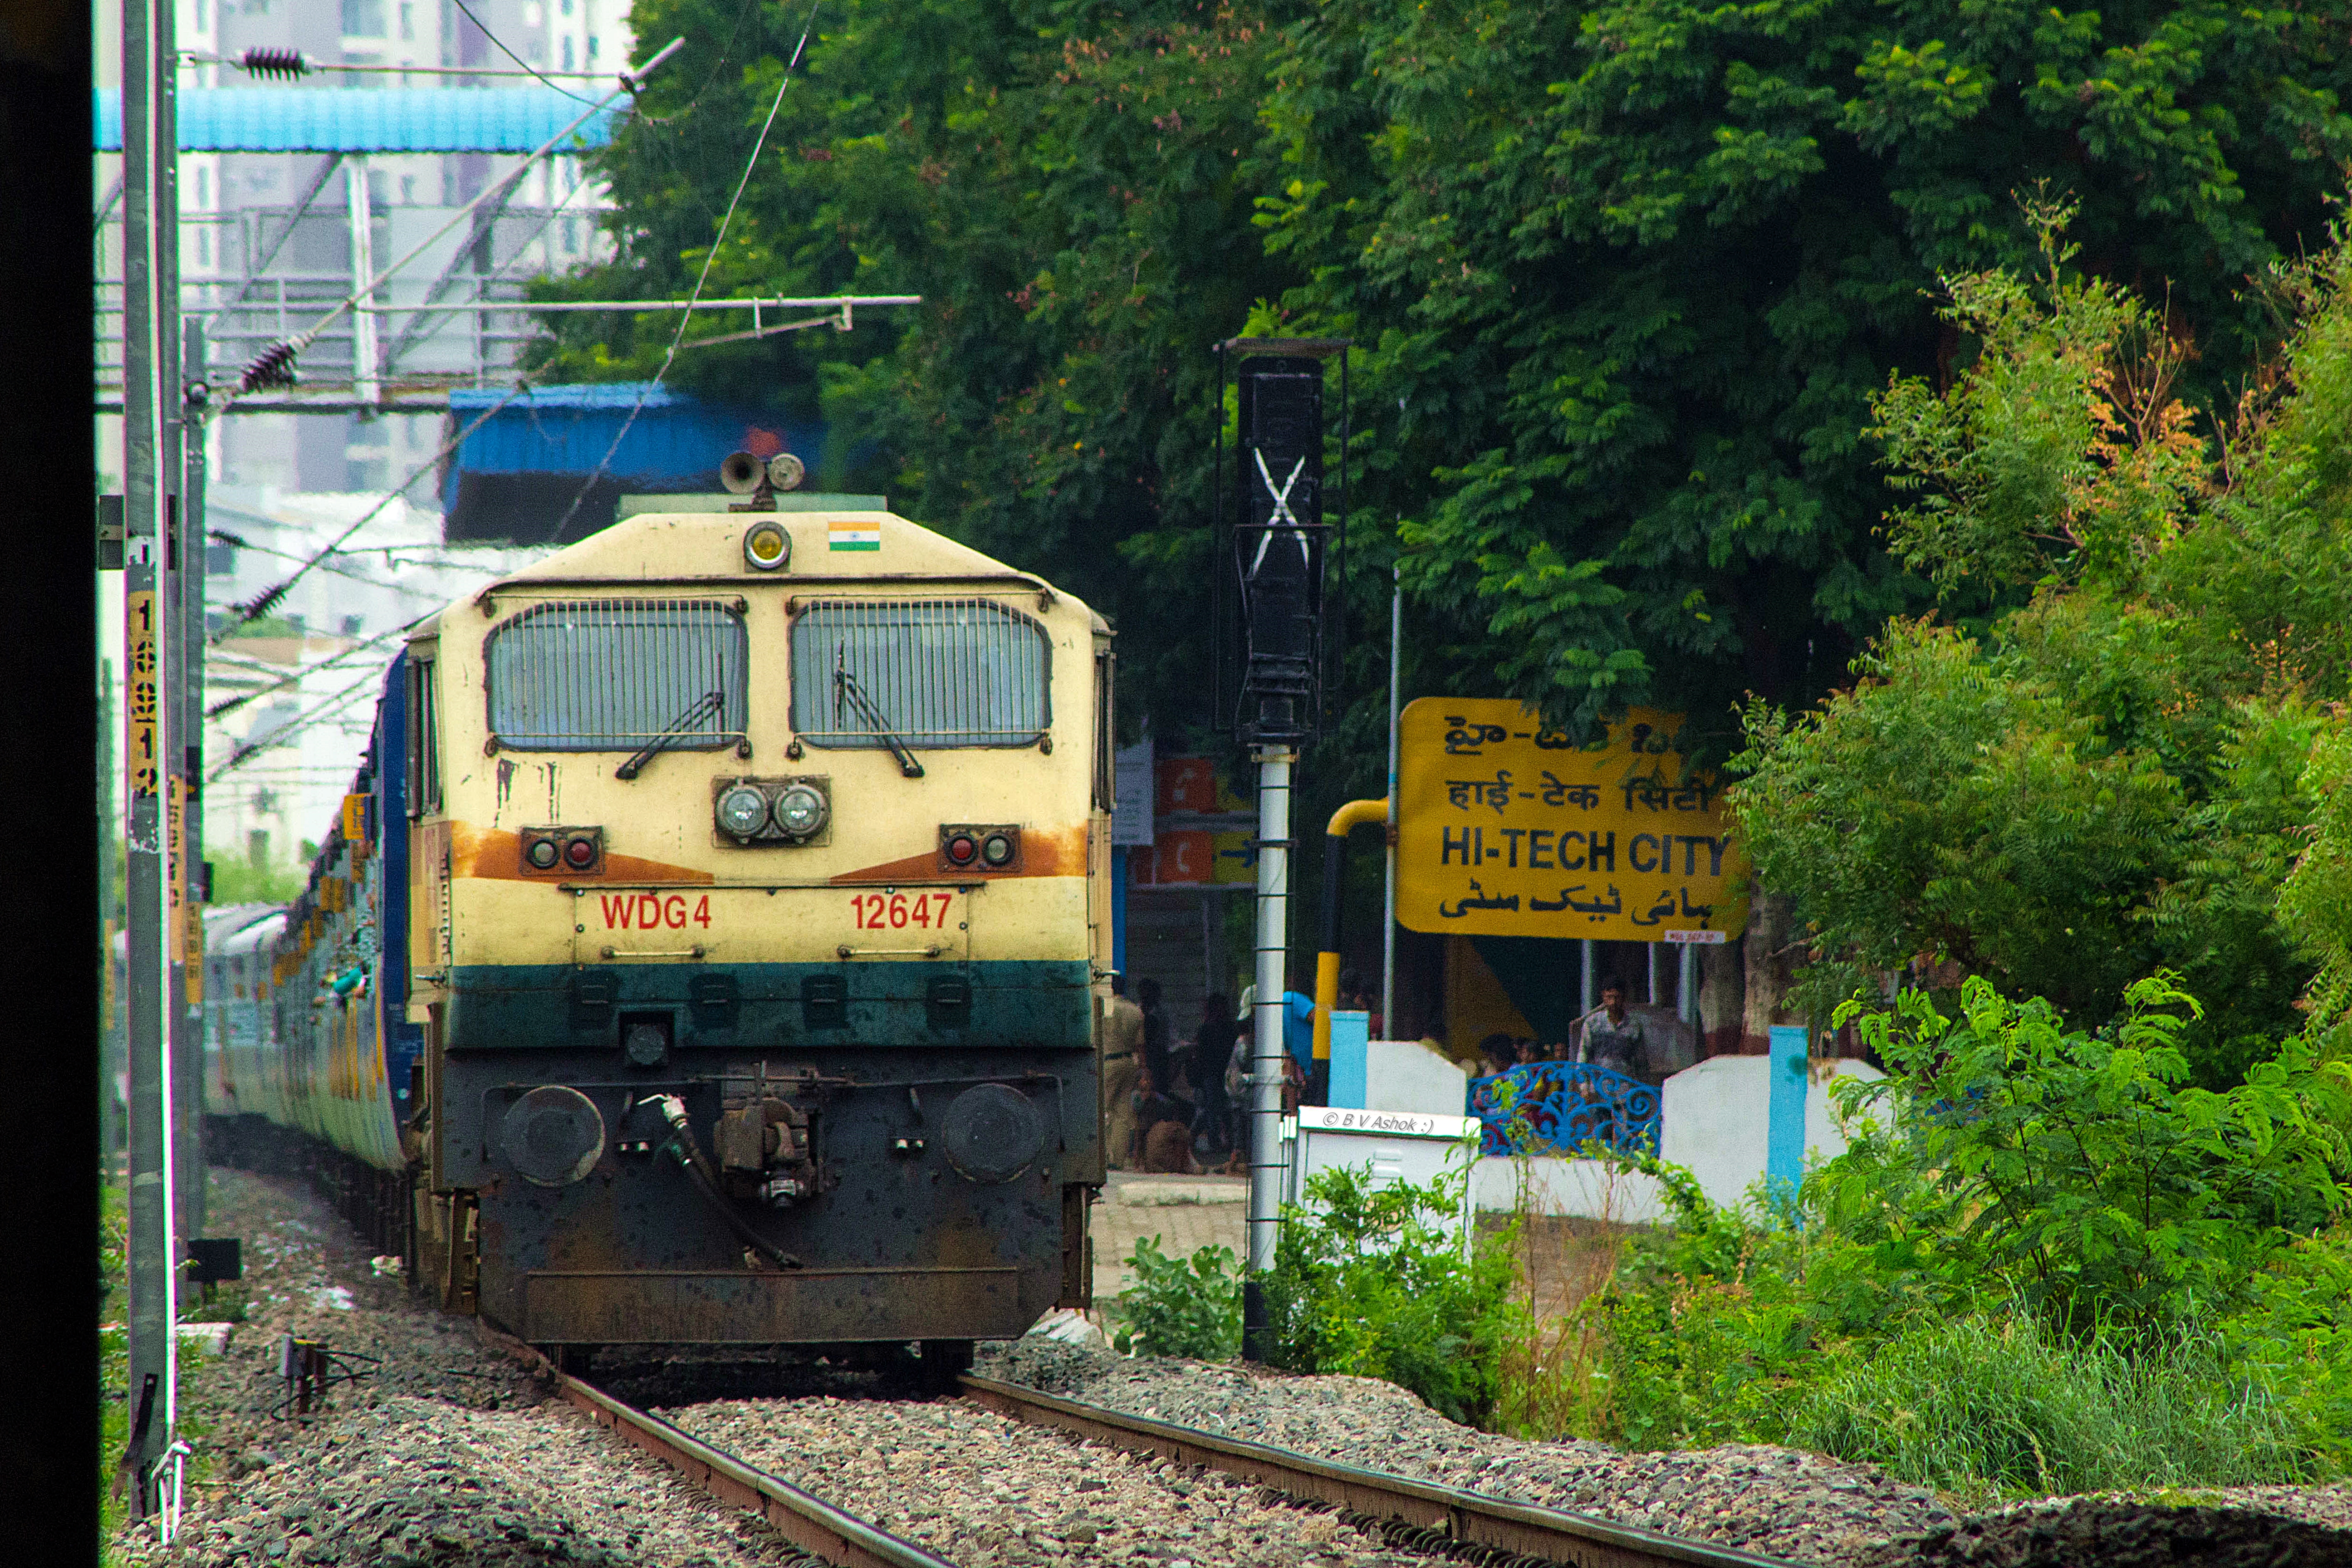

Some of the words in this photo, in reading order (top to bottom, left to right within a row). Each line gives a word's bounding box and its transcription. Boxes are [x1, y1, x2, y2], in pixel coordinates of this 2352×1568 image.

[1438, 711, 1613, 758] హై-
[1441, 764, 1518, 818] हाई
[1529, 760, 1602, 816] टेक
[1615, 770, 1719, 815] सिंटी
[1436, 821, 1618, 876] HI-TECH
[1619, 828, 1732, 878] CITY
[601, 891, 714, 933] WDG4
[848, 884, 955, 935] 12647
[1339, 1113, 1419, 1134] BVAshok